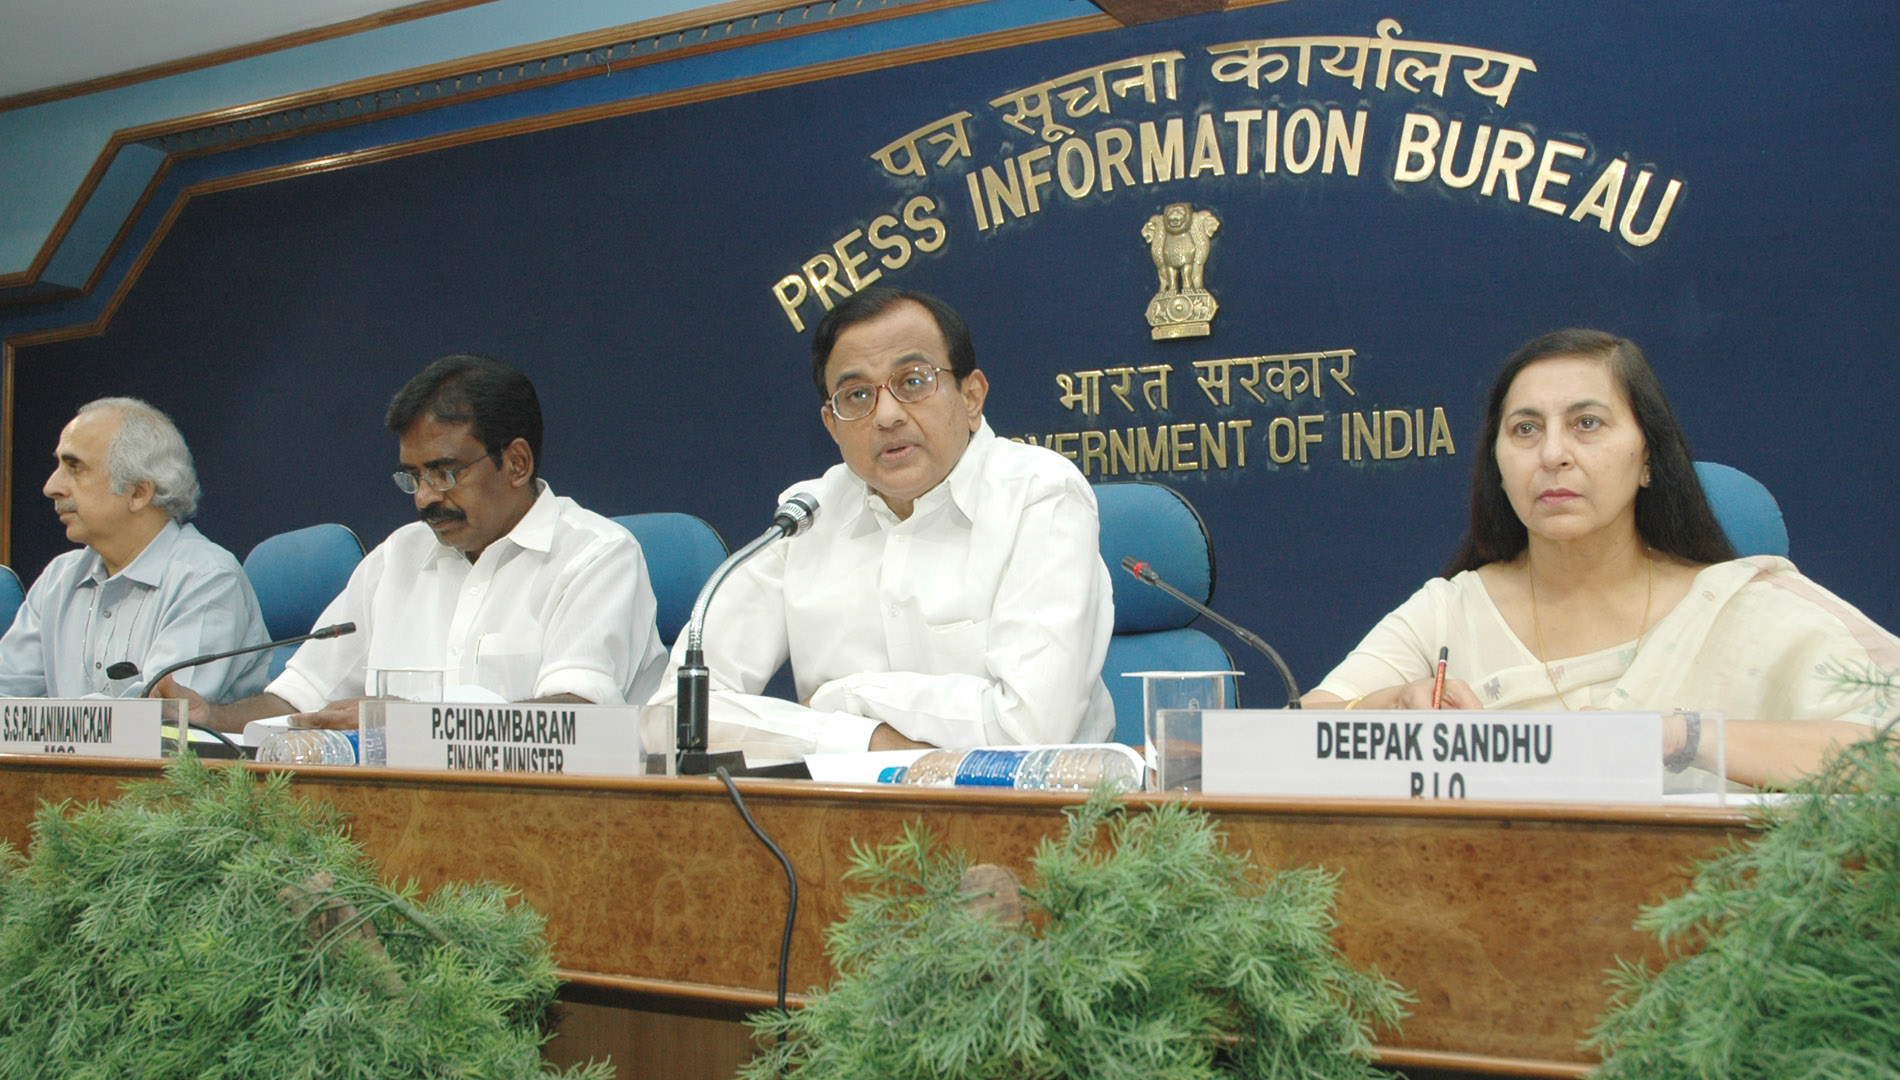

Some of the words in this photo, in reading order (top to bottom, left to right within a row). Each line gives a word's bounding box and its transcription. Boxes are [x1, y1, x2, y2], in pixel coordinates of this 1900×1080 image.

[987, 45, 1189, 147] सूचना
[1205, 13, 1543, 115] कार्यालय
[867, 105, 981, 196] पत्र
[965, 104, 1371, 238] INFORMATION
[1385, 108, 1686, 253] BUREAU
[765, 187, 953, 342] PRESS
[1053, 359, 1173, 422] भारत
[1194, 343, 1361, 407] सरकार
[1261, 408, 1329, 472] OF
[1335, 400, 1461, 466] INDIA
[439, 737, 503, 780] FINANCE
[427, 700, 581, 748] P.CHIDAMBARAM
[497, 742, 567, 783] MINISTER
[1308, 714, 1427, 766] DEEPAK
[1428, 715, 1557, 769] SANDHU